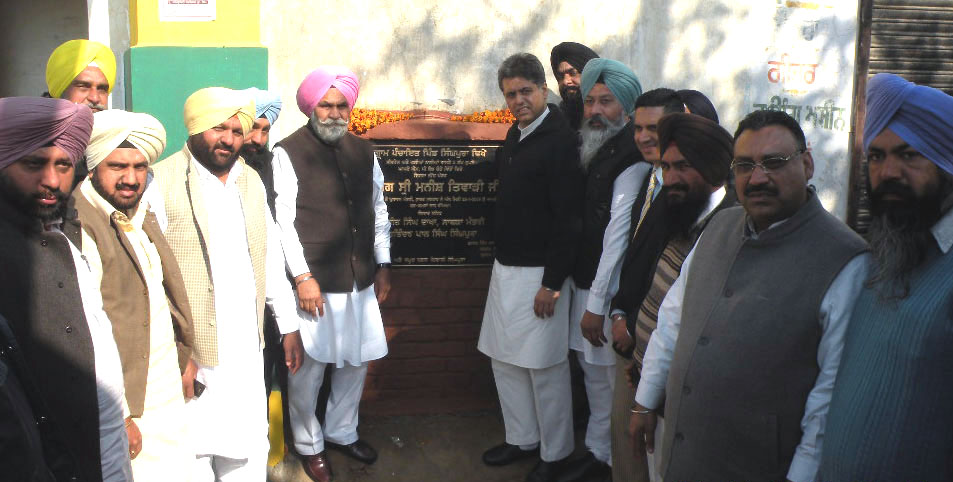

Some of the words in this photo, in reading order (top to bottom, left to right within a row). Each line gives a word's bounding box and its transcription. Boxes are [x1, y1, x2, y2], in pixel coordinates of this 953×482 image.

[395, 177, 413, 196] ਸ੍ਰੀ
[413, 178, 447, 195] ਮਨੀਸ਼
[446, 175, 487, 194] ਤਿਵਾੜੀ